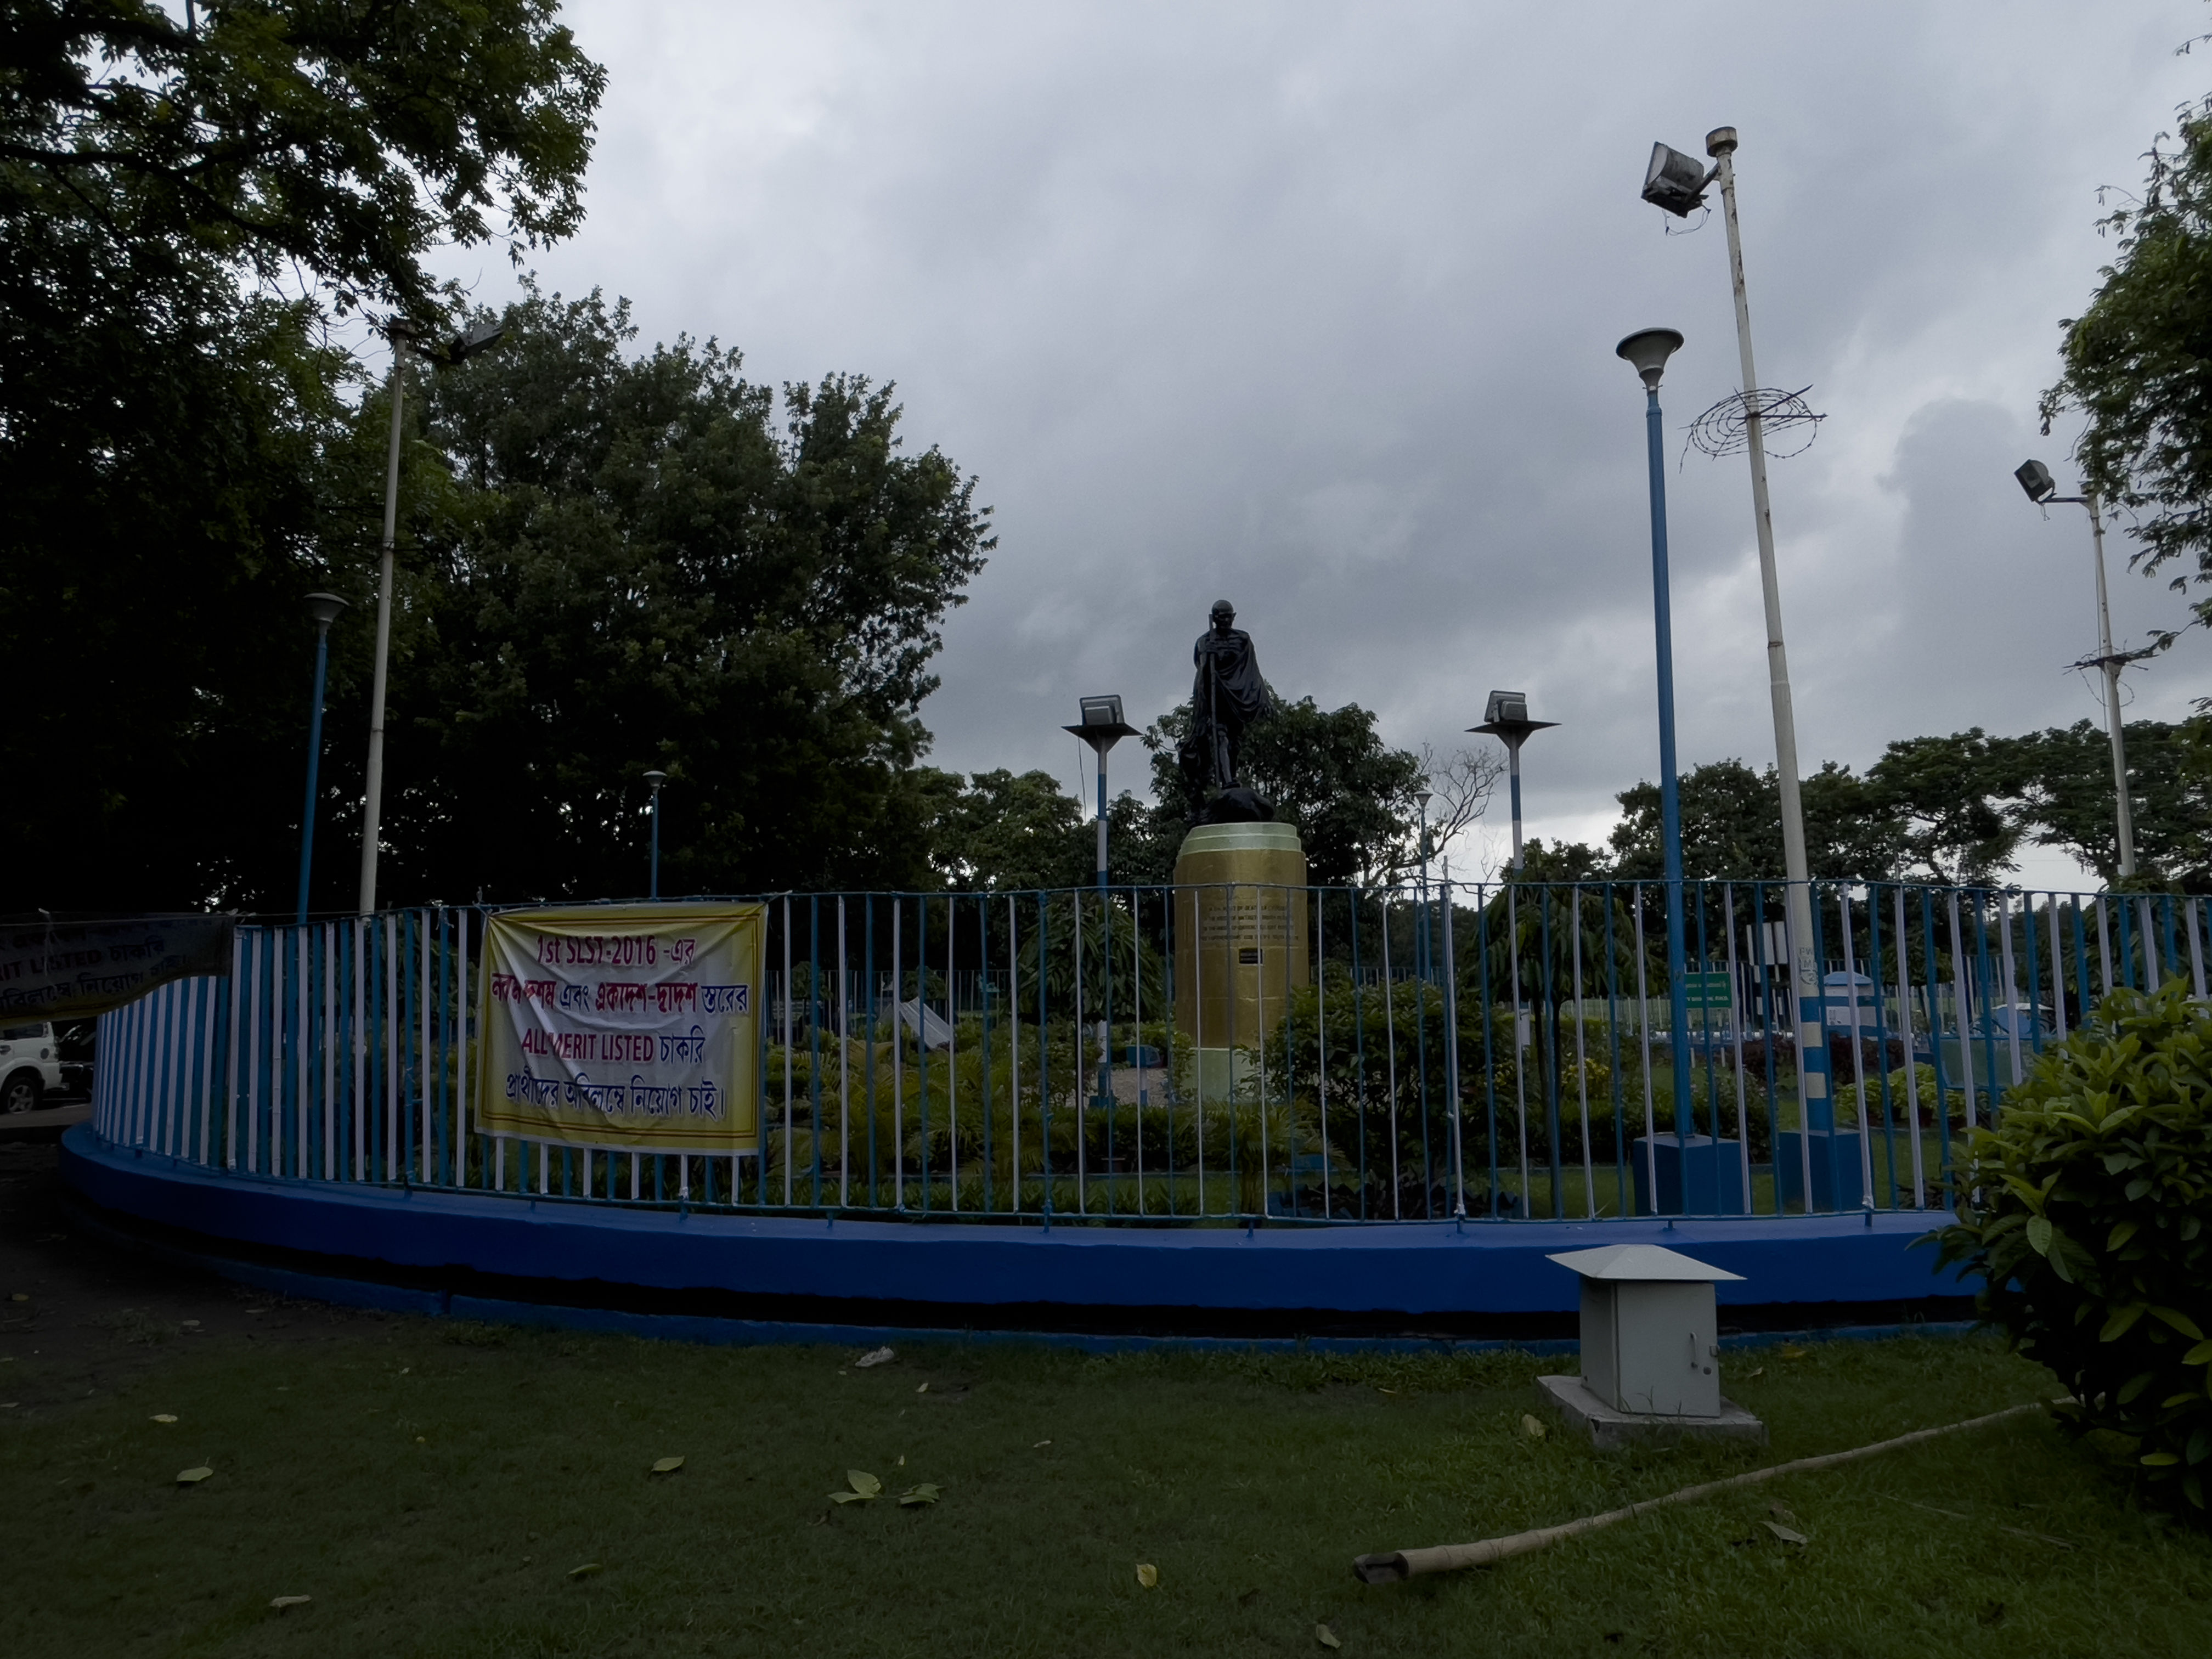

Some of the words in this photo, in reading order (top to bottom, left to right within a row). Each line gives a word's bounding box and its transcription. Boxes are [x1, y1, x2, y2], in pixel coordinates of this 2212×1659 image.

[26, 944, 105, 977] LISTED
[104, 929, 168, 967] চাকরি
[533, 927, 565, 968] 1st
[563, 926, 659, 969] SLST-2016
[667, 929, 701, 968] এর
[6, 979, 77, 1014] বিলম্বে
[66, 963, 150, 999] নিয়োগ
[487, 971, 562, 1011] নবম-দশম
[557, 980, 592, 1013] এবং
[592, 979, 657, 1015] একাদশ
[650, 978, 704, 1017] দ্বাদশ
[697, 981, 753, 1018] স্তরের
[517, 1022, 551, 1059] ALL
[546, 1029, 597, 1062] MERIT
[599, 1032, 659, 1065] LISTED
[658, 1019, 713, 1067] চাকরি
[500, 1063, 565, 1110] প্রাথীদের
[562, 1066, 628, 1115] অবিলম্বে
[627, 1068, 687, 1122] নিয়োগ৷
[684, 1070, 730, 1124] চাই৷